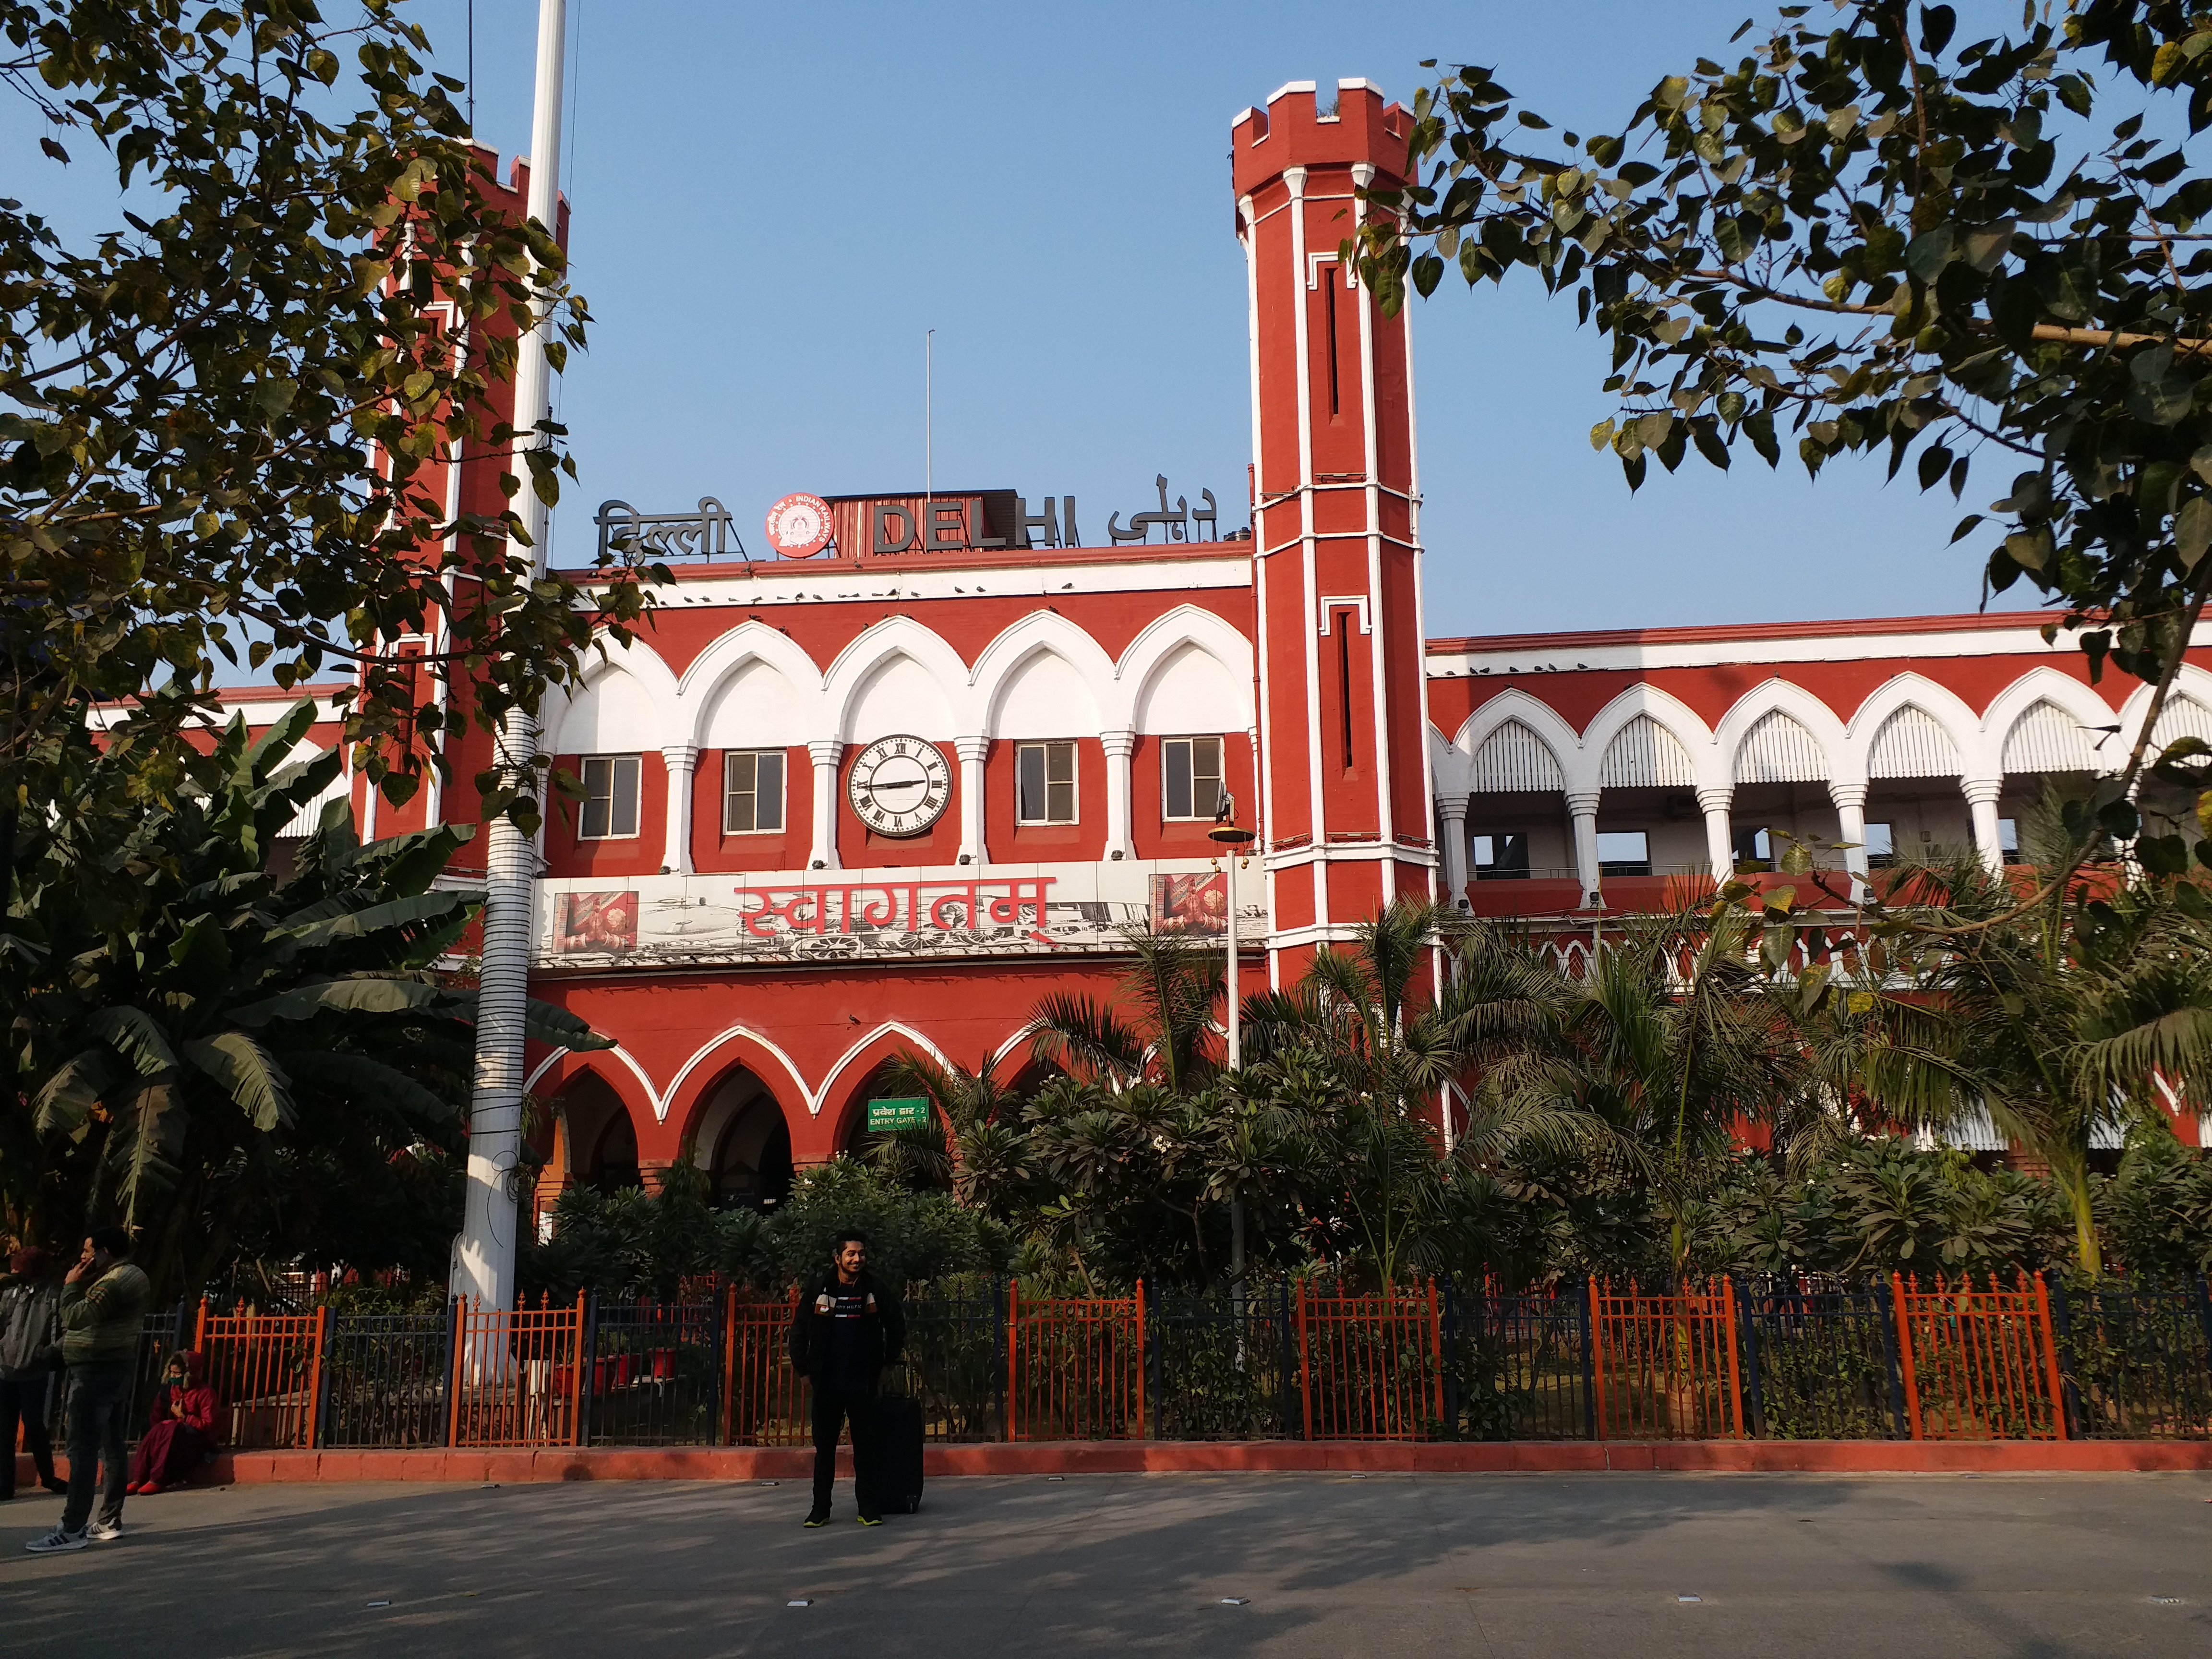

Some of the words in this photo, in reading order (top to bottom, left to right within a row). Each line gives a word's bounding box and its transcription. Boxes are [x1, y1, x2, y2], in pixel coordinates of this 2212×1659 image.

[589, 495, 733, 557] दिल्ली
[873, 494, 1075, 552] DELHI
[734, 875, 1060, 949] स्वागतम्